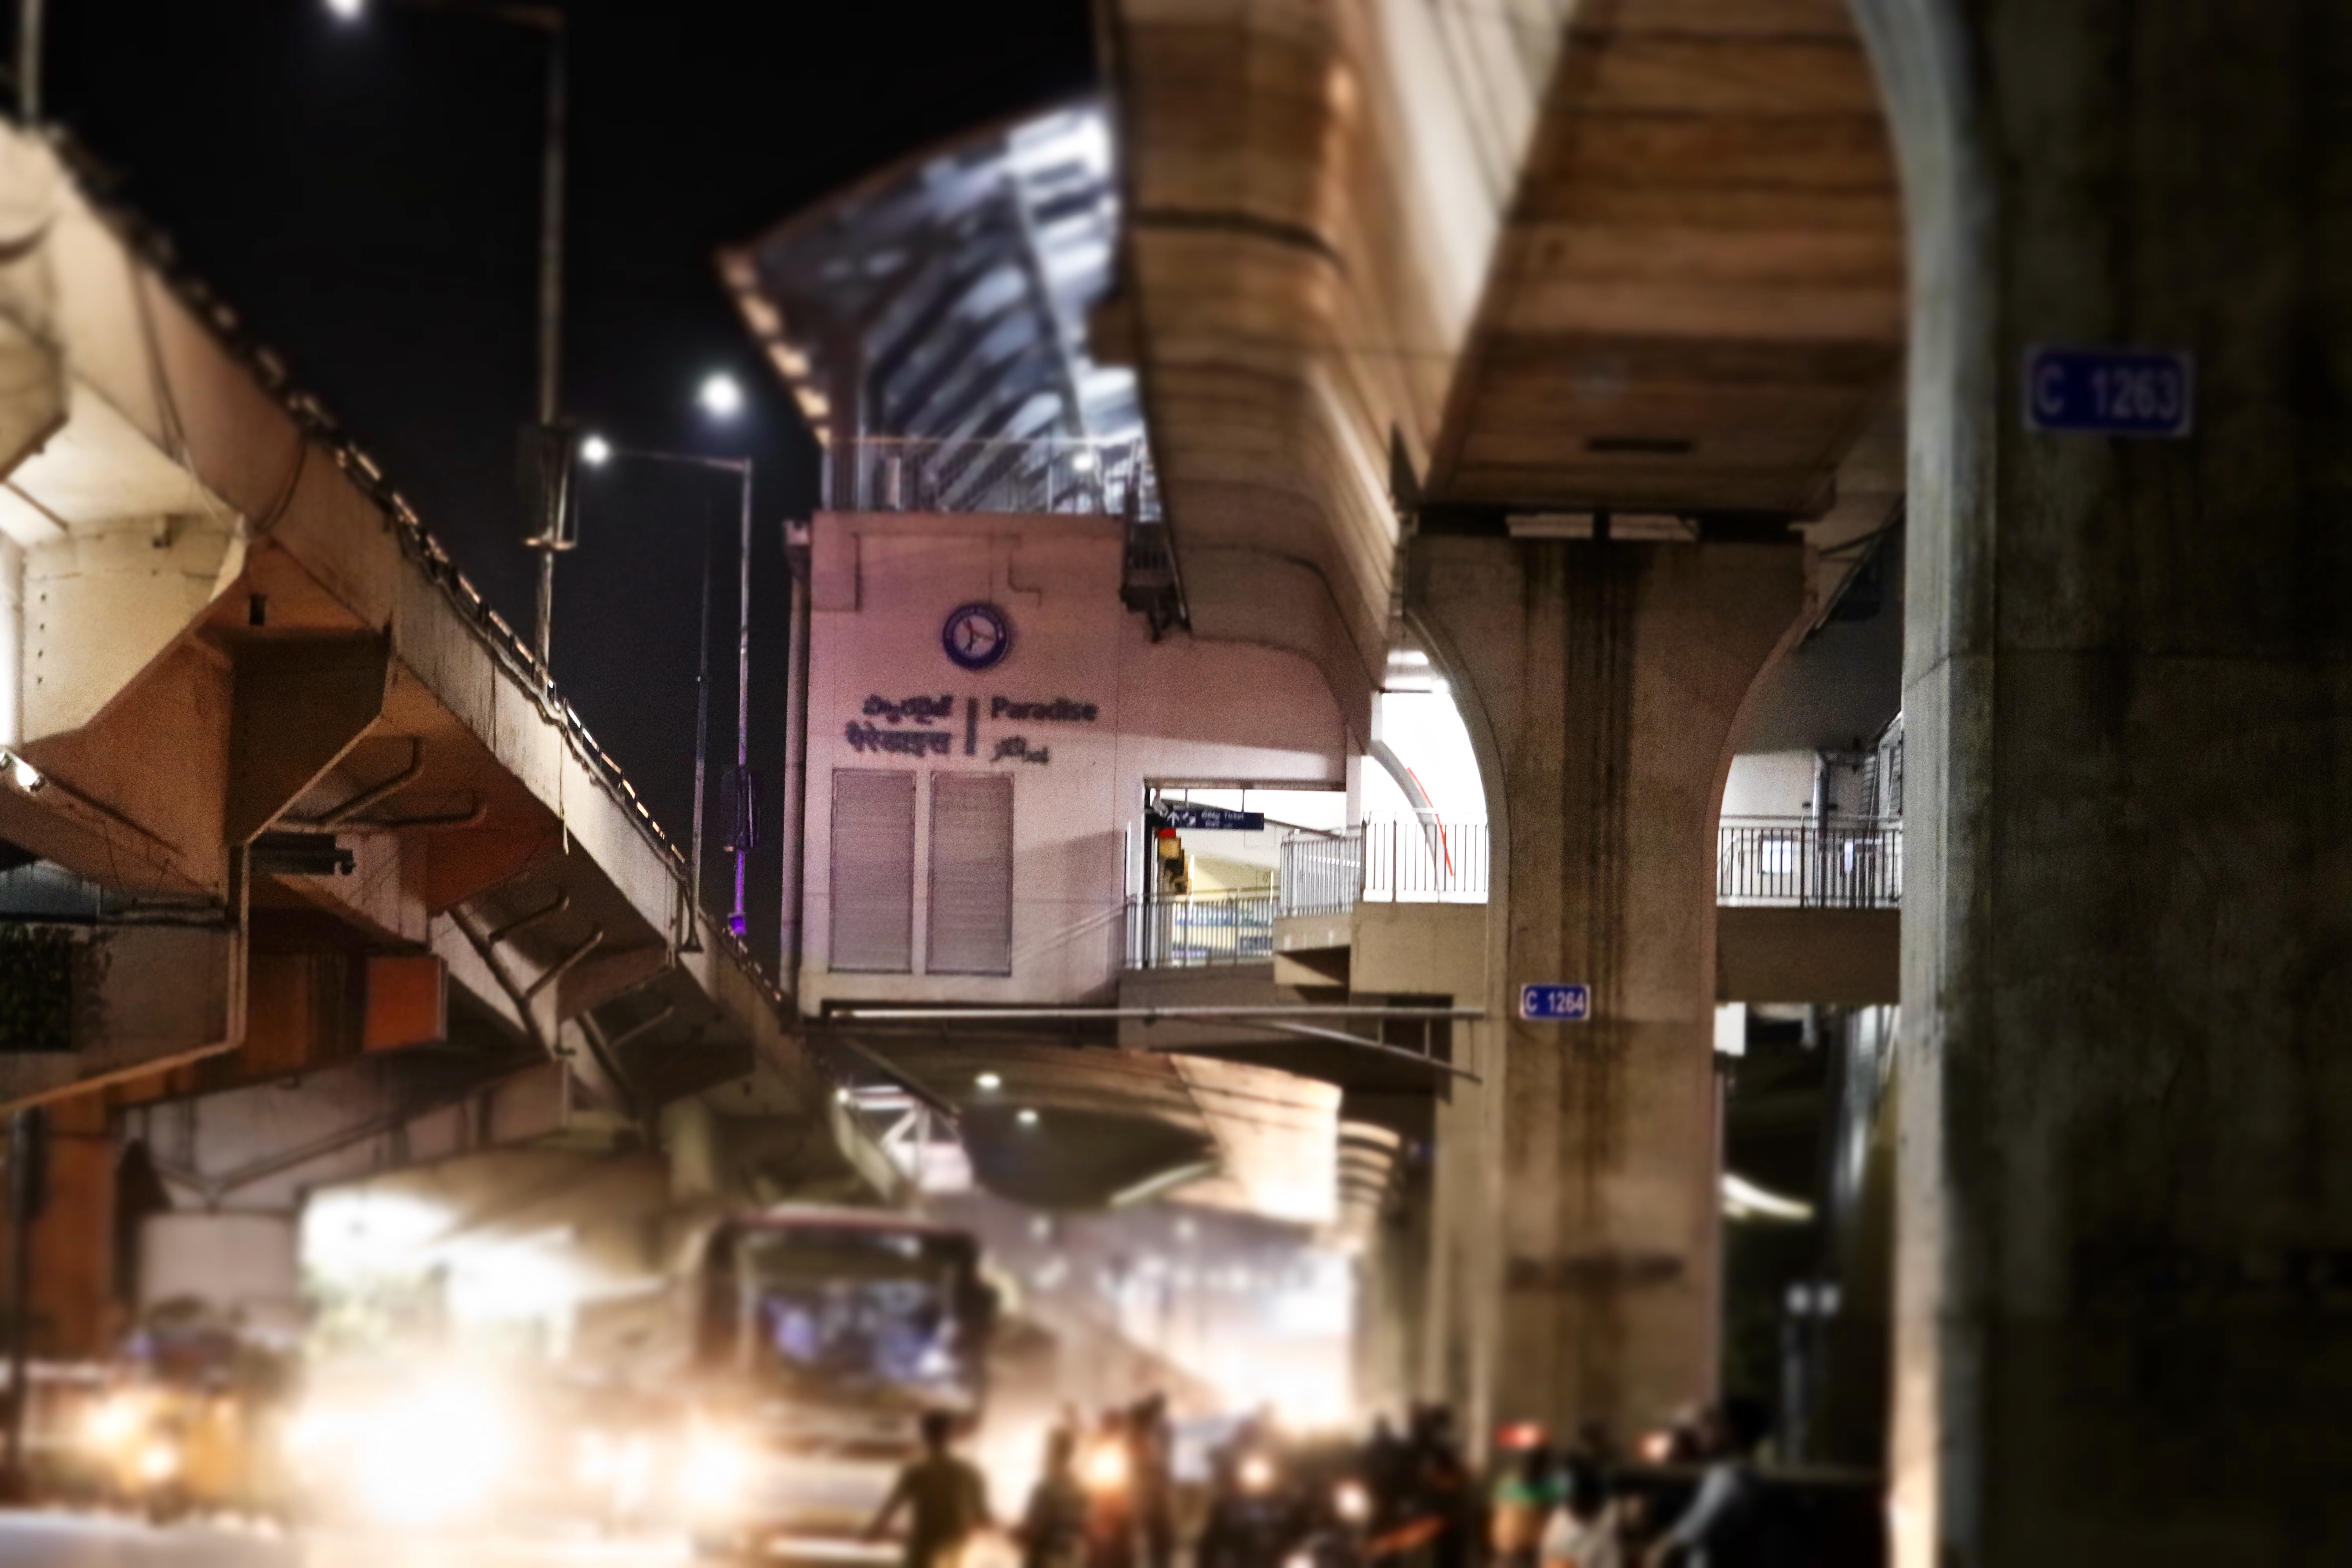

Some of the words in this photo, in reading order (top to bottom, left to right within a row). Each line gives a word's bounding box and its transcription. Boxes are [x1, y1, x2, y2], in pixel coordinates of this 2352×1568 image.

[989, 696, 1100, 726] Paradise
[845, 717, 952, 760] पैरेडाइस